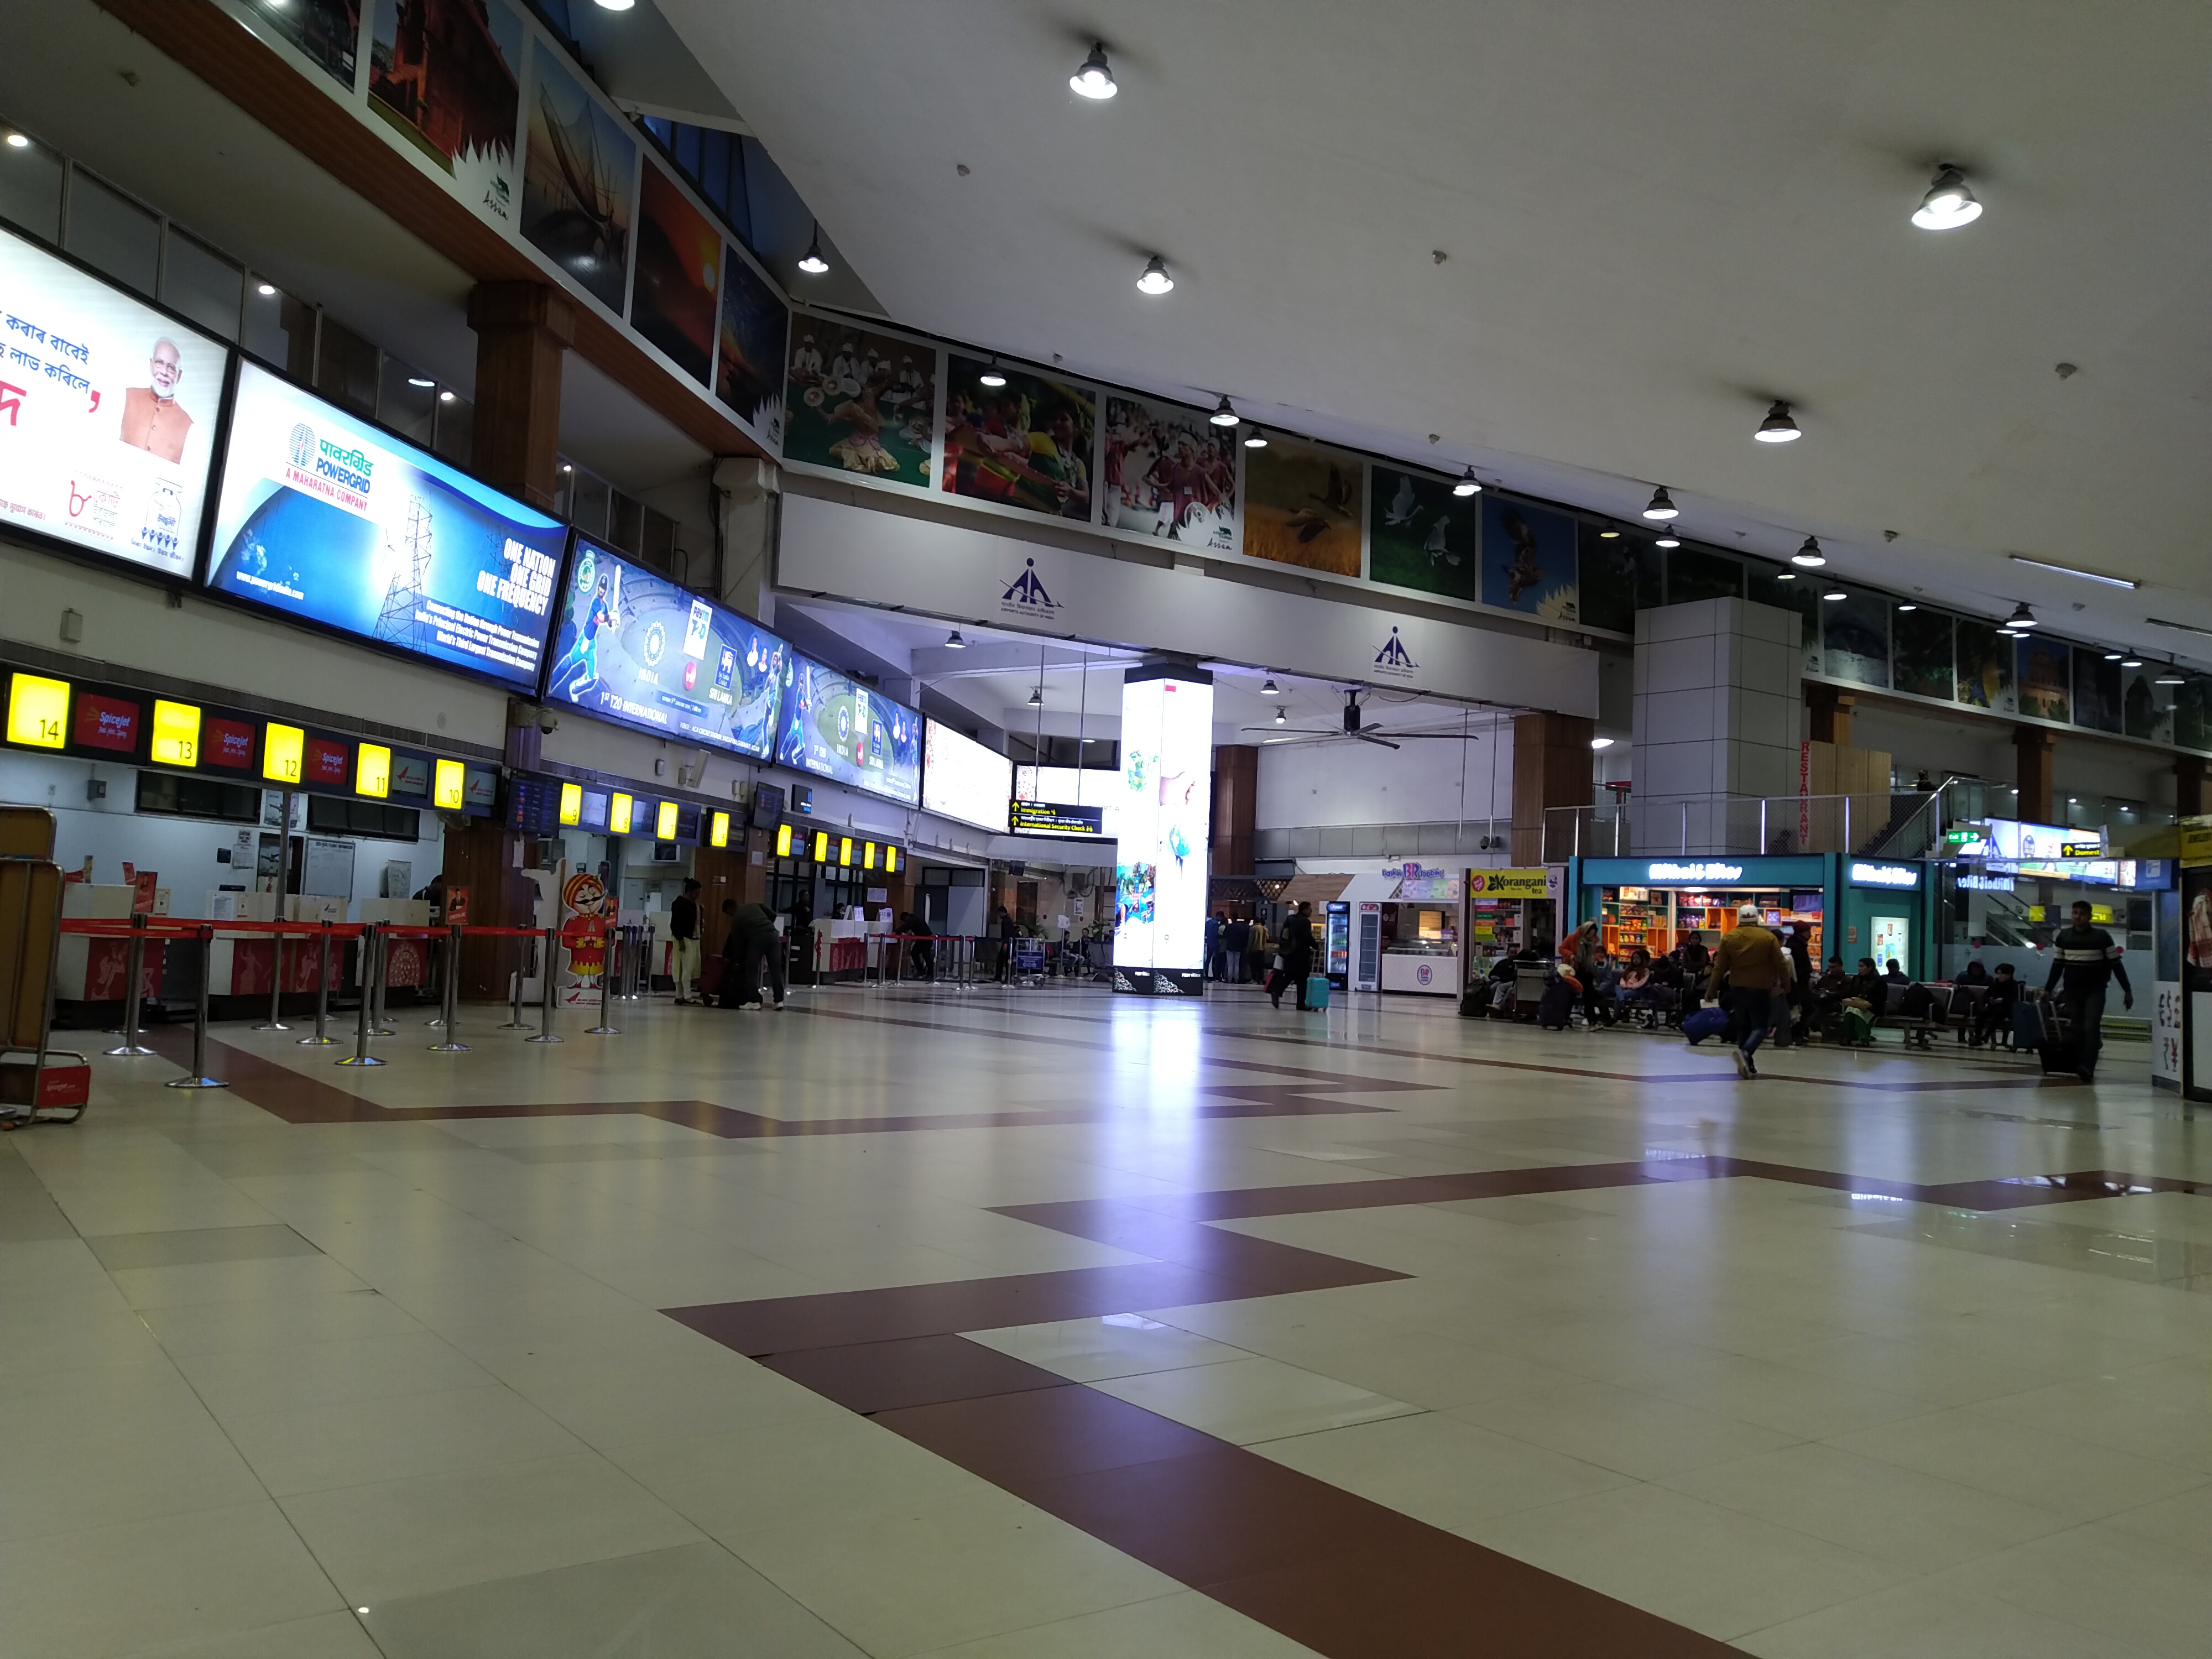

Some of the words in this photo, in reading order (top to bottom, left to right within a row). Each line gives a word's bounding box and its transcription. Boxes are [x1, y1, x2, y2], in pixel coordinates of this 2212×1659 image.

[3, 309, 49, 346] কৰাৰ
[7, 345, 42, 373] লাভ
[50, 332, 93, 367] বাবেই
[42, 357, 93, 396] কৰিলে
[317, 436, 377, 481] पावरग्रिड
[279, 466, 294, 479] A
[291, 468, 338, 499] MAHARATNA.
[315, 456, 374, 496] POWERGRID
[92, 487, 126, 512] কোটি
[332, 484, 371, 513] COMPANY
[23, 505, 46, 521] কাষত
[473, 567, 502, 599] ONE
[499, 536, 526, 566] ONE
[507, 561, 534, 590] ONE
[494, 576, 551, 618] FREQUENCY
[520, 545, 558, 582] NATION
[526, 570, 555, 599] GRID
[691, 604, 712, 623] Paytm
[638, 664, 661, 687] INDIA
[95, 708, 133, 732] Spicejet
[597, 685, 614, 707] 1ST
[606, 692, 627, 713] T20
[621, 698, 670, 727] INTERNATIONAL
[706, 683, 735, 708] SRILANKA
[220, 729, 253, 750] Spicejet
[319, 750, 347, 769] Spicejet
[810, 742, 828, 760] 1st T20
[802, 756, 837, 778] INTERNATIONAL
[834, 742, 852, 758] INDIA
[1501, 874, 1550, 891] orangani
[1526, 885, 1546, 896] tea